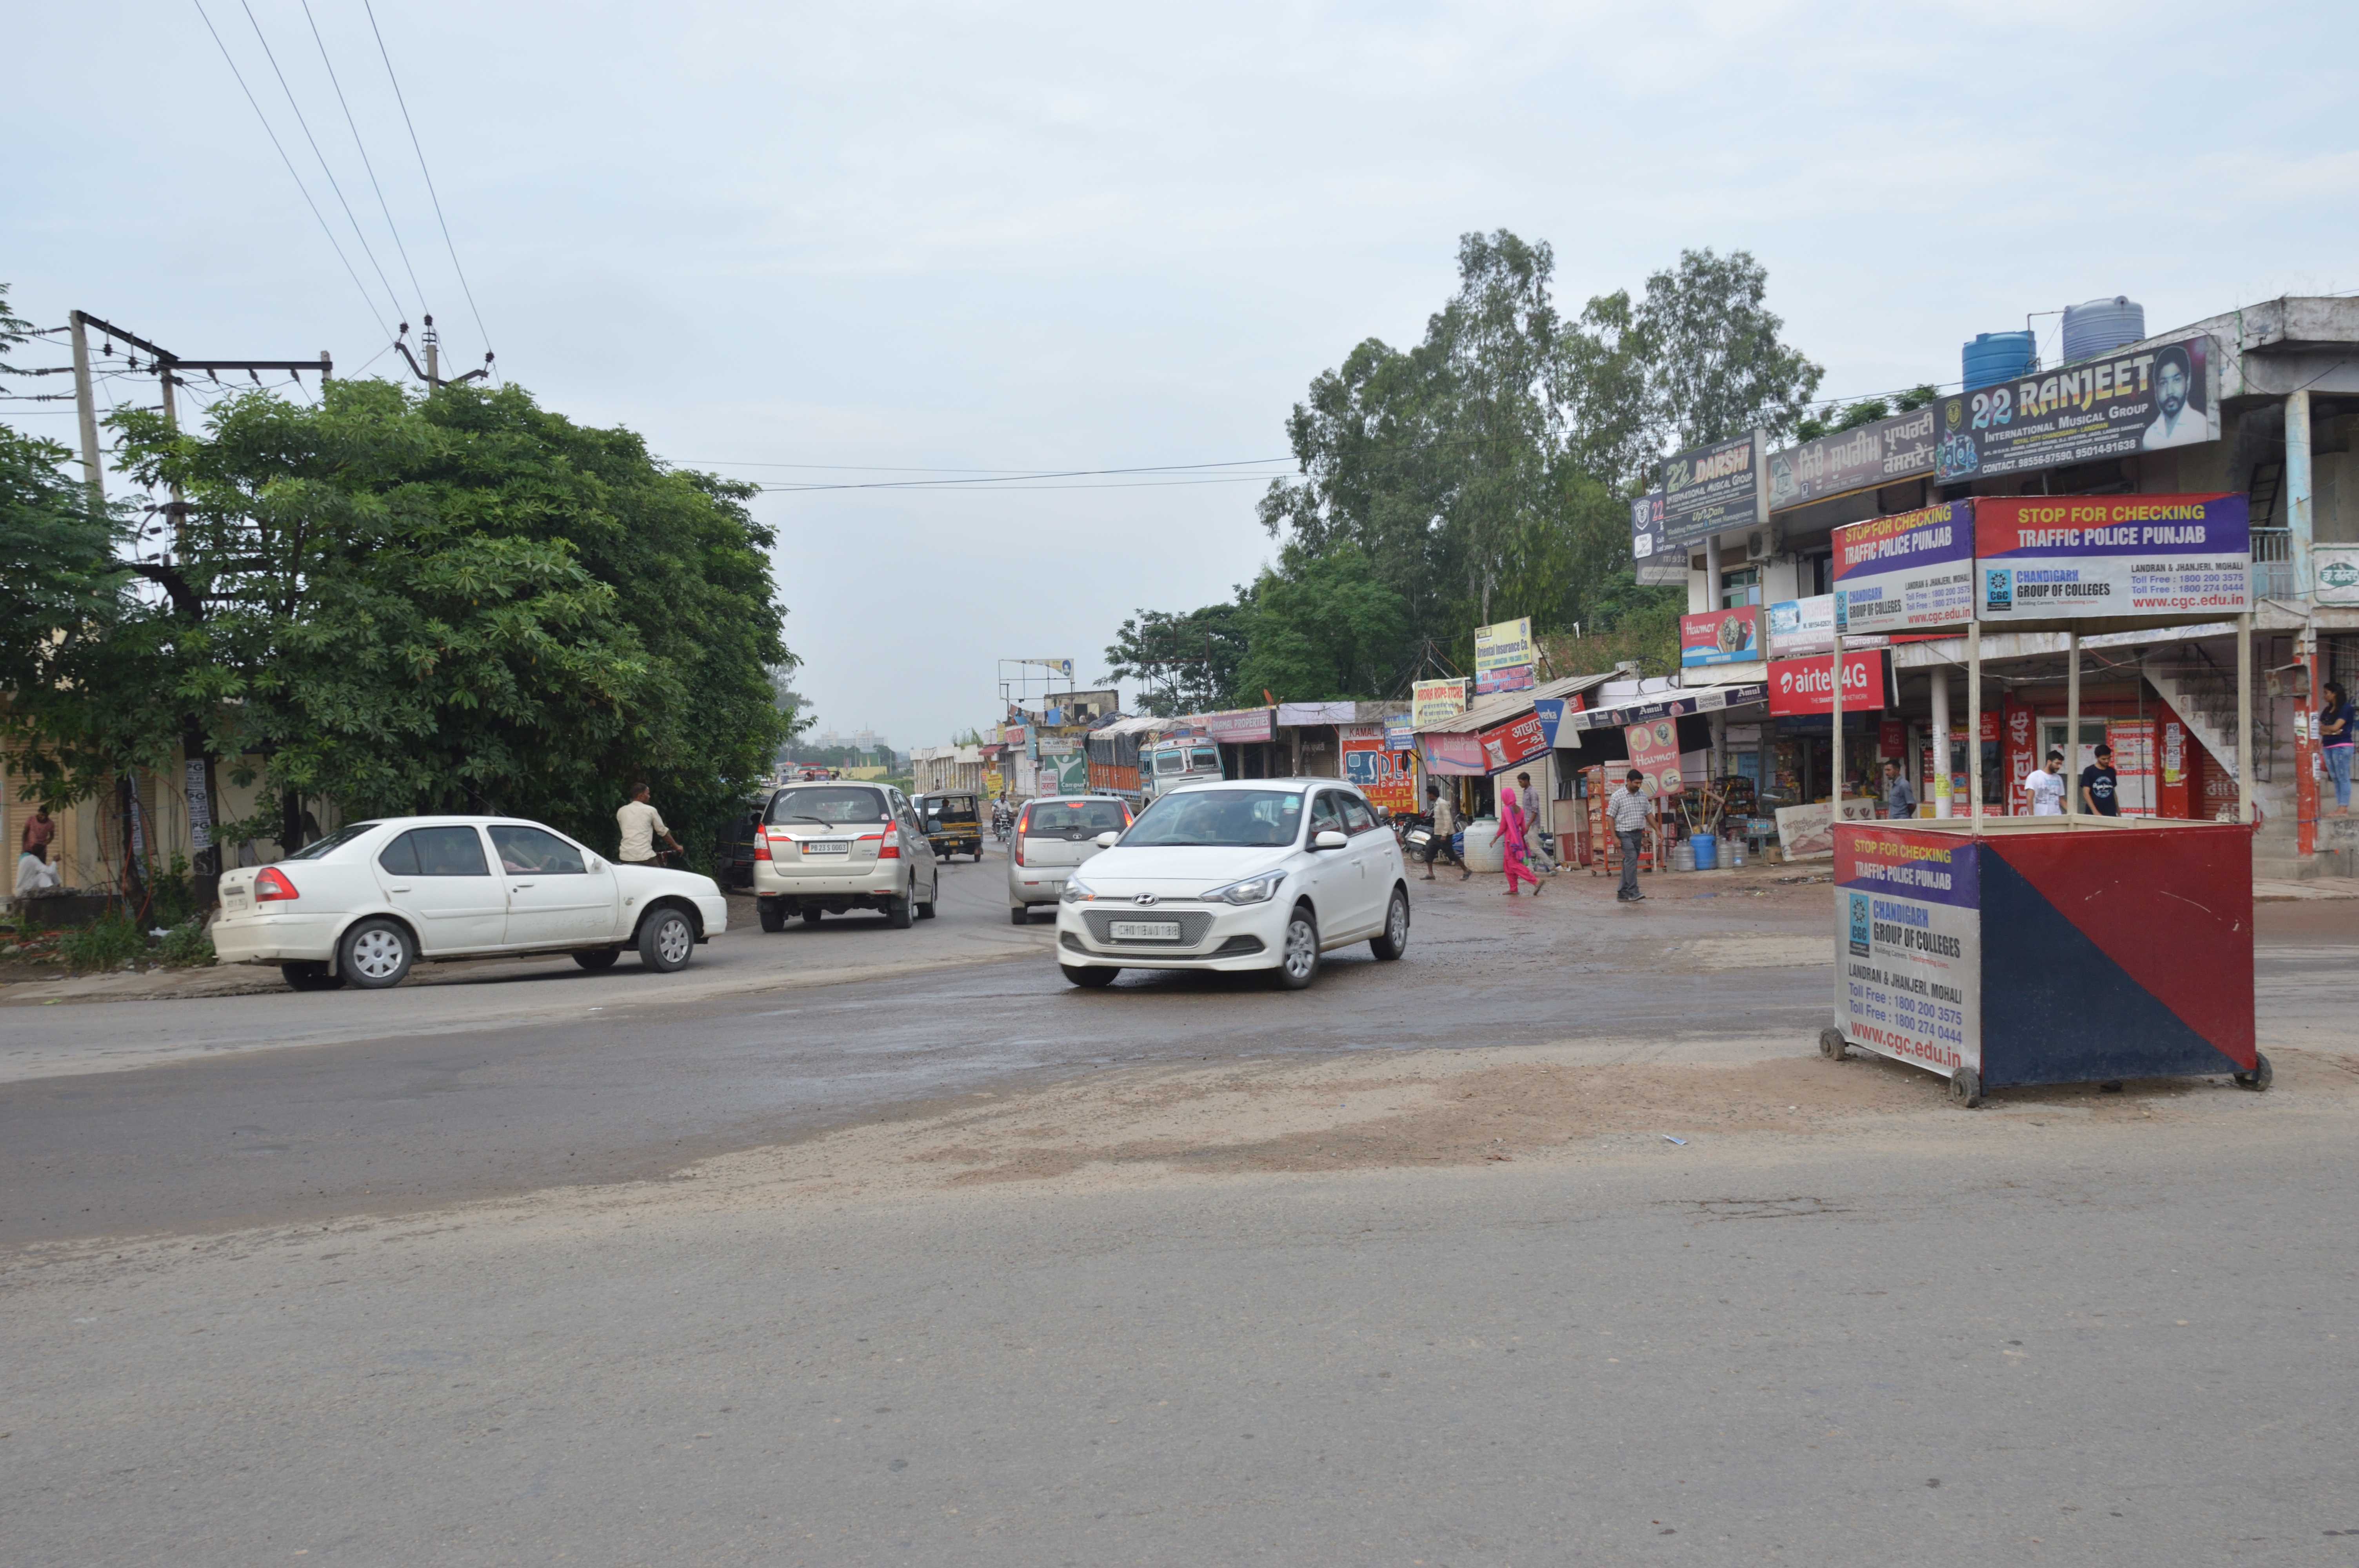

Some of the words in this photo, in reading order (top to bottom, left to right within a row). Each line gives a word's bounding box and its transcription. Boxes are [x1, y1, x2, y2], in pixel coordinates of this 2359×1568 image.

[2016, 352, 2157, 420] RANJEET
[1965, 383, 2018, 432] 22
[2055, 409, 2108, 430] MUSICAL
[2105, 400, 2150, 421] GROUP
[1879, 410, 1934, 452] ਪ੍ਰਾਪਰਟੀ
[1981, 420, 2057, 445] INTERNATIONAL
[1664, 459, 1691, 495] 22
[1665, 483, 1706, 505] INTERNATIONAL
[1705, 475, 1731, 494] MUSICAL
[1694, 443, 1751, 486] DARSHI
[1730, 469, 1754, 487] GROUP
[1794, 441, 1827, 491] ਨਿਊ
[1827, 428, 1883, 481] ਸੁਪਰੀਮ
[1881, 440, 1935, 474] ਕੰਸਲਟੈ
[1979, 458, 2016, 475] CONTACT
[2016, 447, 2073, 470] 98556-97590,
[2072, 437, 2142, 462] 95014-91638
[1651, 498, 1665, 522] 22
[1690, 503, 1726, 523] Up2Date
[1844, 522, 1871, 545] STOP
[1842, 537, 1876, 568] TRAFFIC
[1870, 515, 1894, 537] FOR
[1877, 531, 1911, 561] POLICE
[1893, 503, 1956, 535] CHECKING
[2015, 504, 2068, 526] STOP
[2014, 524, 2082, 551] TRAFFIC
[2068, 503, 2109, 526] FOR
[2081, 524, 2140, 548] POLICE
[2109, 500, 2211, 524] CHECKING
[2140, 523, 2210, 548] PUNJAB
[1846, 603, 1866, 621] GROUP
[1846, 584, 1885, 606] CHANDIGARH
[1866, 602, 1874, 617] OF
[1873, 598, 1904, 616] COLLEGES
[1905, 606, 1973, 626] www.cgc.edu.in
[1986, 590, 2012, 603] CGC
[2014, 584, 2050, 600] GROUP
[2015, 569, 2080, 585] CHANDIGARH
[2050, 584, 2063, 598] OF
[2064, 582, 2114, 599] COLLEGES
[2129, 574, 2148, 585] Toll
[2131, 584, 2149, 596] Toll
[2128, 563, 2167, 574] LANDRAN
[2148, 573, 2172, 584] Free
[2148, 584, 2172, 597] Free
[2166, 561, 2175, 574] &
[2131, 592, 2249, 613] www.cgc.edu.in
[2174, 562, 2214, 572] JHANJERI,
[2178, 571, 2246, 584] 18002003575
[2178, 582, 2247, 595] 18002740444
[2213, 561, 2245, 572] MOHALI
[1683, 618, 1717, 637] Havmor
[1476, 642, 1495, 660] Oriental
[1495, 639, 1520, 657] Insurance
[1519, 637, 1530, 652] Co.
[1843, 633, 1886, 648] PHOTOSTAT
[1794, 661, 1835, 694] airtel
[1841, 659, 1873, 691] 4G
[1416, 687, 1433, 702] ARORA
[1433, 686, 1447, 701] ROPE
[1447, 686, 1464, 700] STORE
[1734, 684, 1762, 699] Amul
[1215, 719, 1232, 732] KAMAL
[1233, 715, 1270, 730] ਸਮਾਾਦਵ715
[1347, 725, 1379, 738] KAMAL
[1508, 714, 1542, 742] आधार
[1536, 707, 1559, 720] verka
[1637, 702, 1666, 717] Amul
[2008, 706, 2033, 747] 4G
[185, 763, 204, 771] PG
[1632, 748, 1679, 769] Havmor
[187, 792, 206, 801] PG
[191, 822, 210, 830] PG
[809, 842, 847, 853] PB23S0003
[1851, 837, 1877, 857] STOP
[1876, 840, 1899, 858] FOR
[1899, 843, 1954, 866] CHECKING
[1854, 858, 1886, 882] TRAFFIC
[1886, 864, 1915, 886] POLICE
[1914, 867, 1954, 892] PUNJAB
[1870, 897, 1930, 931] CHANDIGARH
[1872, 920, 1903, 948] GROUP
[1901, 926, 1915, 951] OF
[1914, 928, 1964, 961] COLLEGES
[1846, 980, 1864, 1000] Toll
[1844, 961, 1881, 987] LANDRAN
[1864, 985, 1888, 1007] Free
[1881, 968, 1891, 989] &
[1888, 970, 1929, 999] JHANJERI,
[1929, 980, 1964, 1007] MOHALI
[1845, 996, 1866, 1018] Toll
[1863, 1000, 1888, 1022] Free
[1892, 993, 1963, 1029] 18002003575
[1894, 1009, 1965, 1048] 18002740444
[1848, 1017, 1966, 1071] www.cgc.edu.in